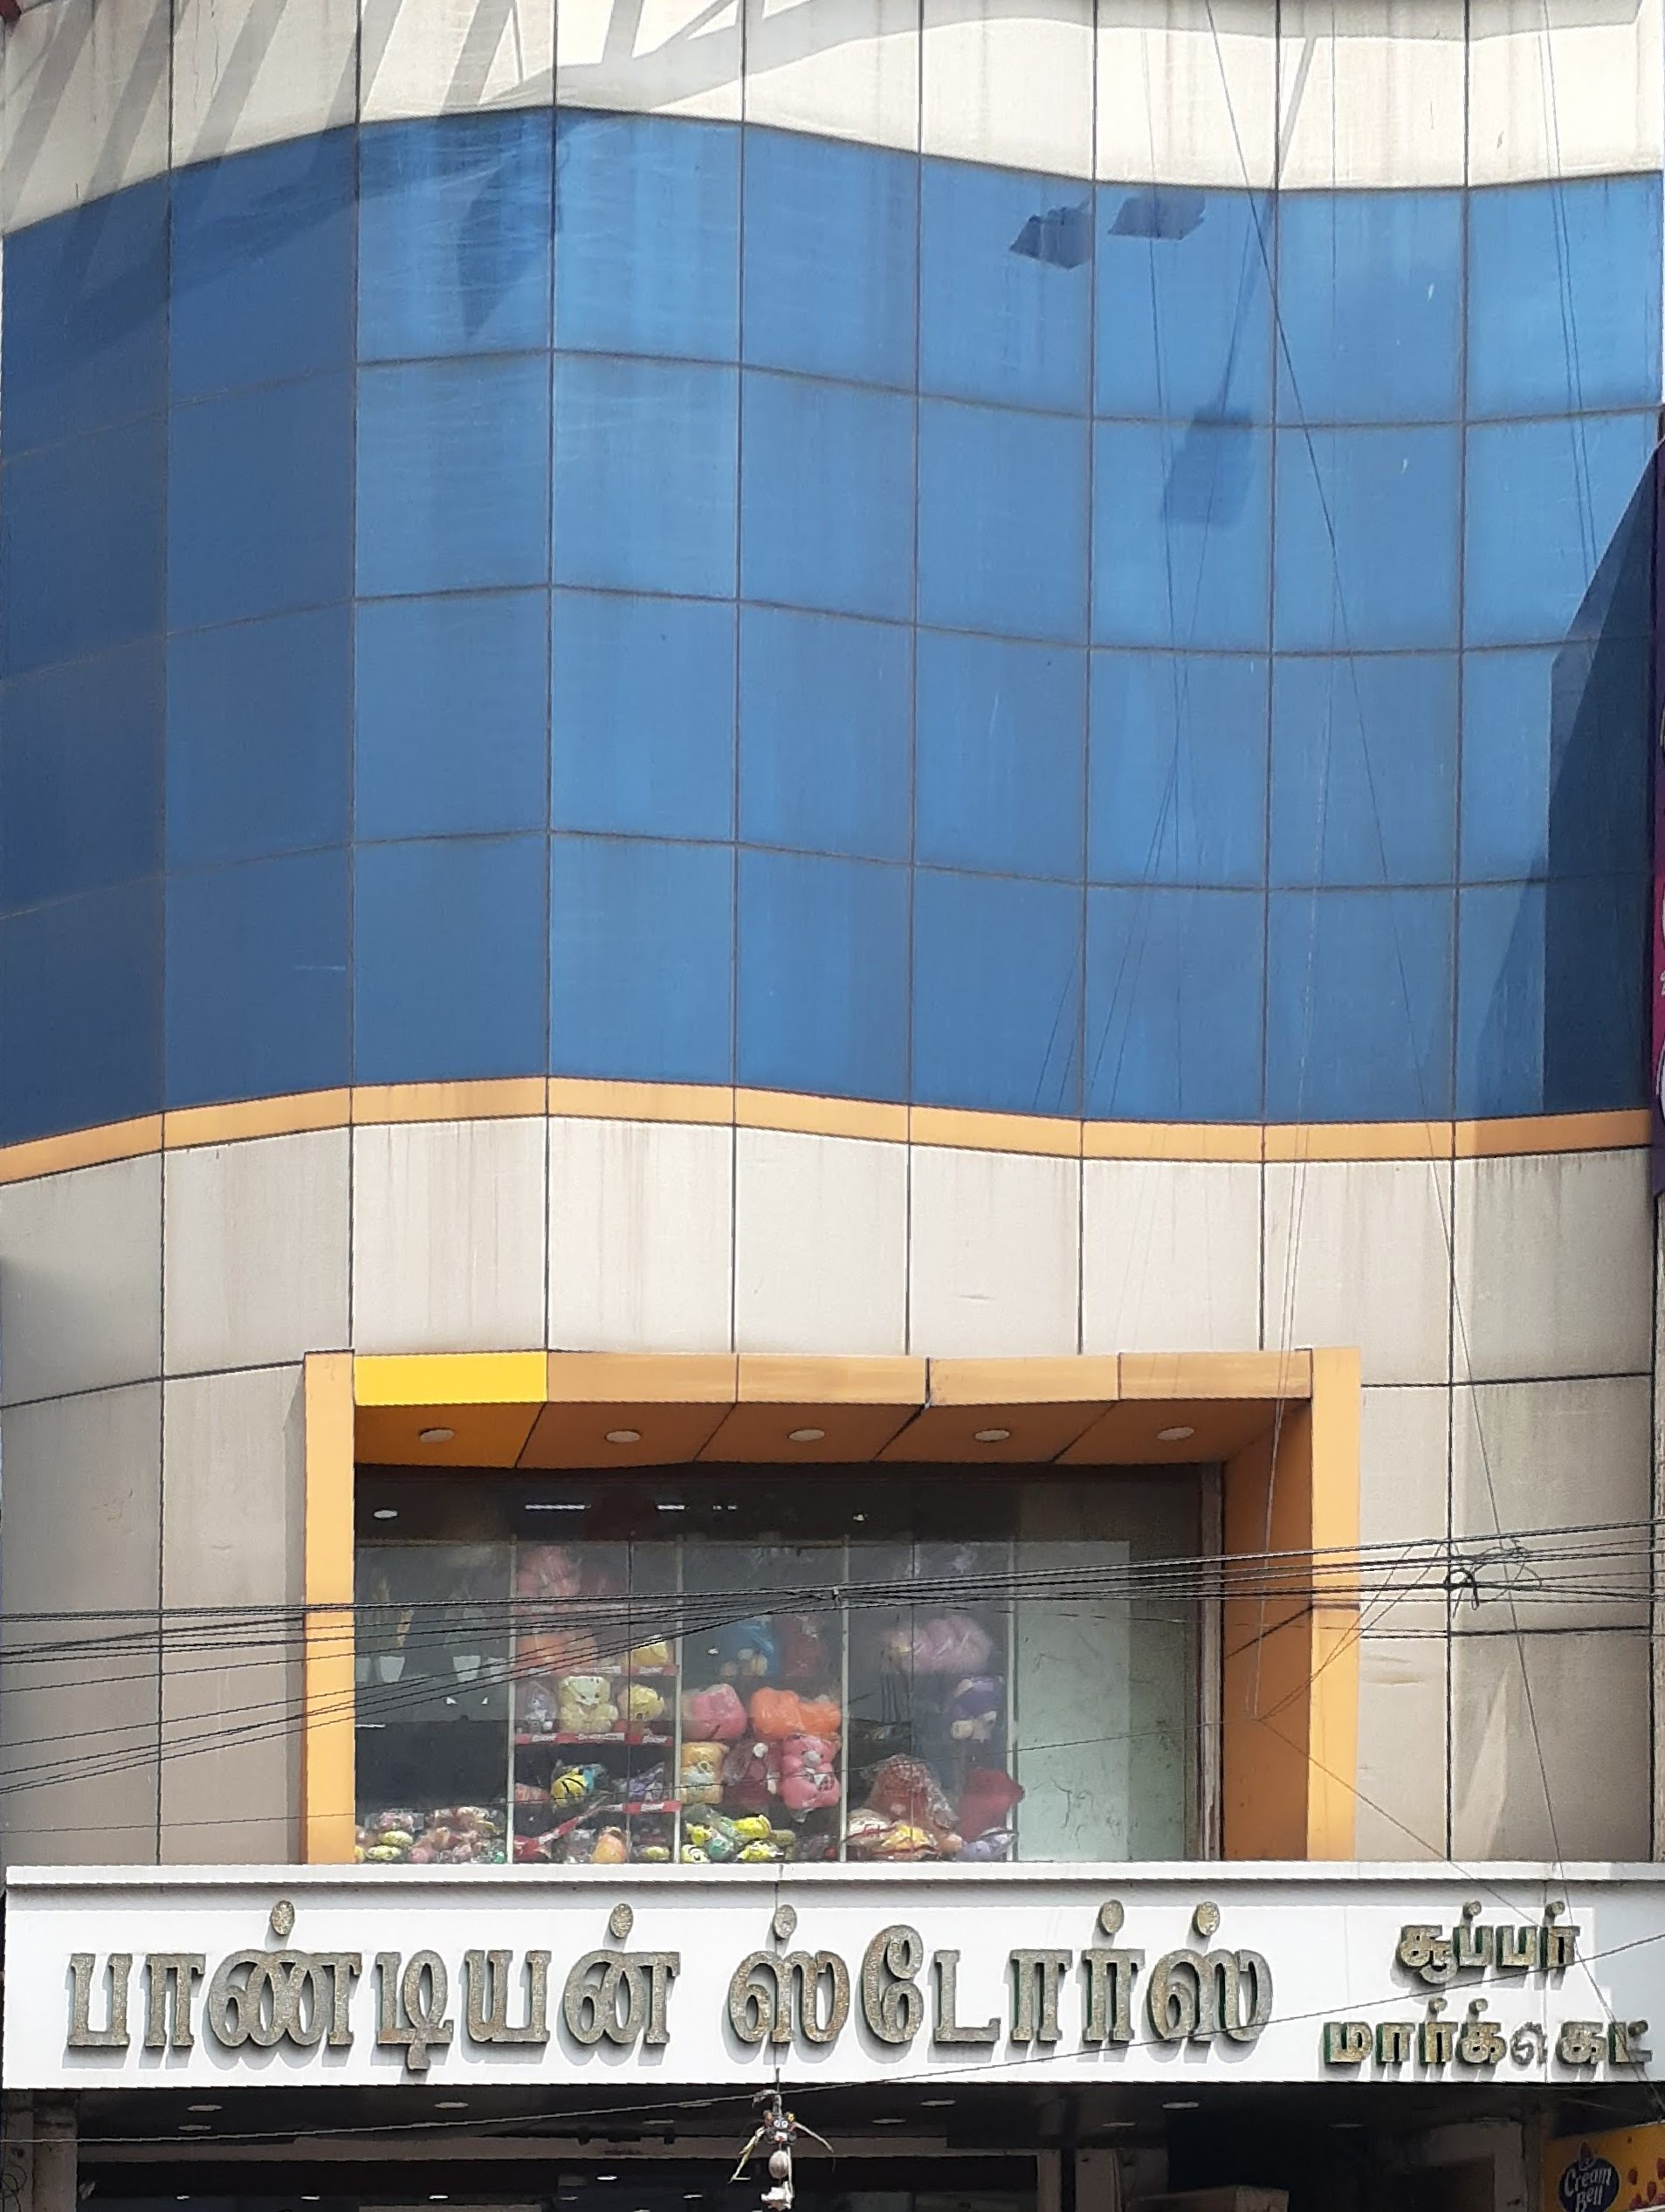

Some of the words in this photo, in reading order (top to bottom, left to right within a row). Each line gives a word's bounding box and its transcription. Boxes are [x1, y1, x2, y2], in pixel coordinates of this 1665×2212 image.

[63, 1891, 684, 2074] பாண்டியன்
[722, 1892, 1281, 2047] ஸ்டோா்ஸ்
[1321, 1989, 1654, 2073] மாா்க்கெட்
[1393, 1893, 1585, 1986] சூப்பா்